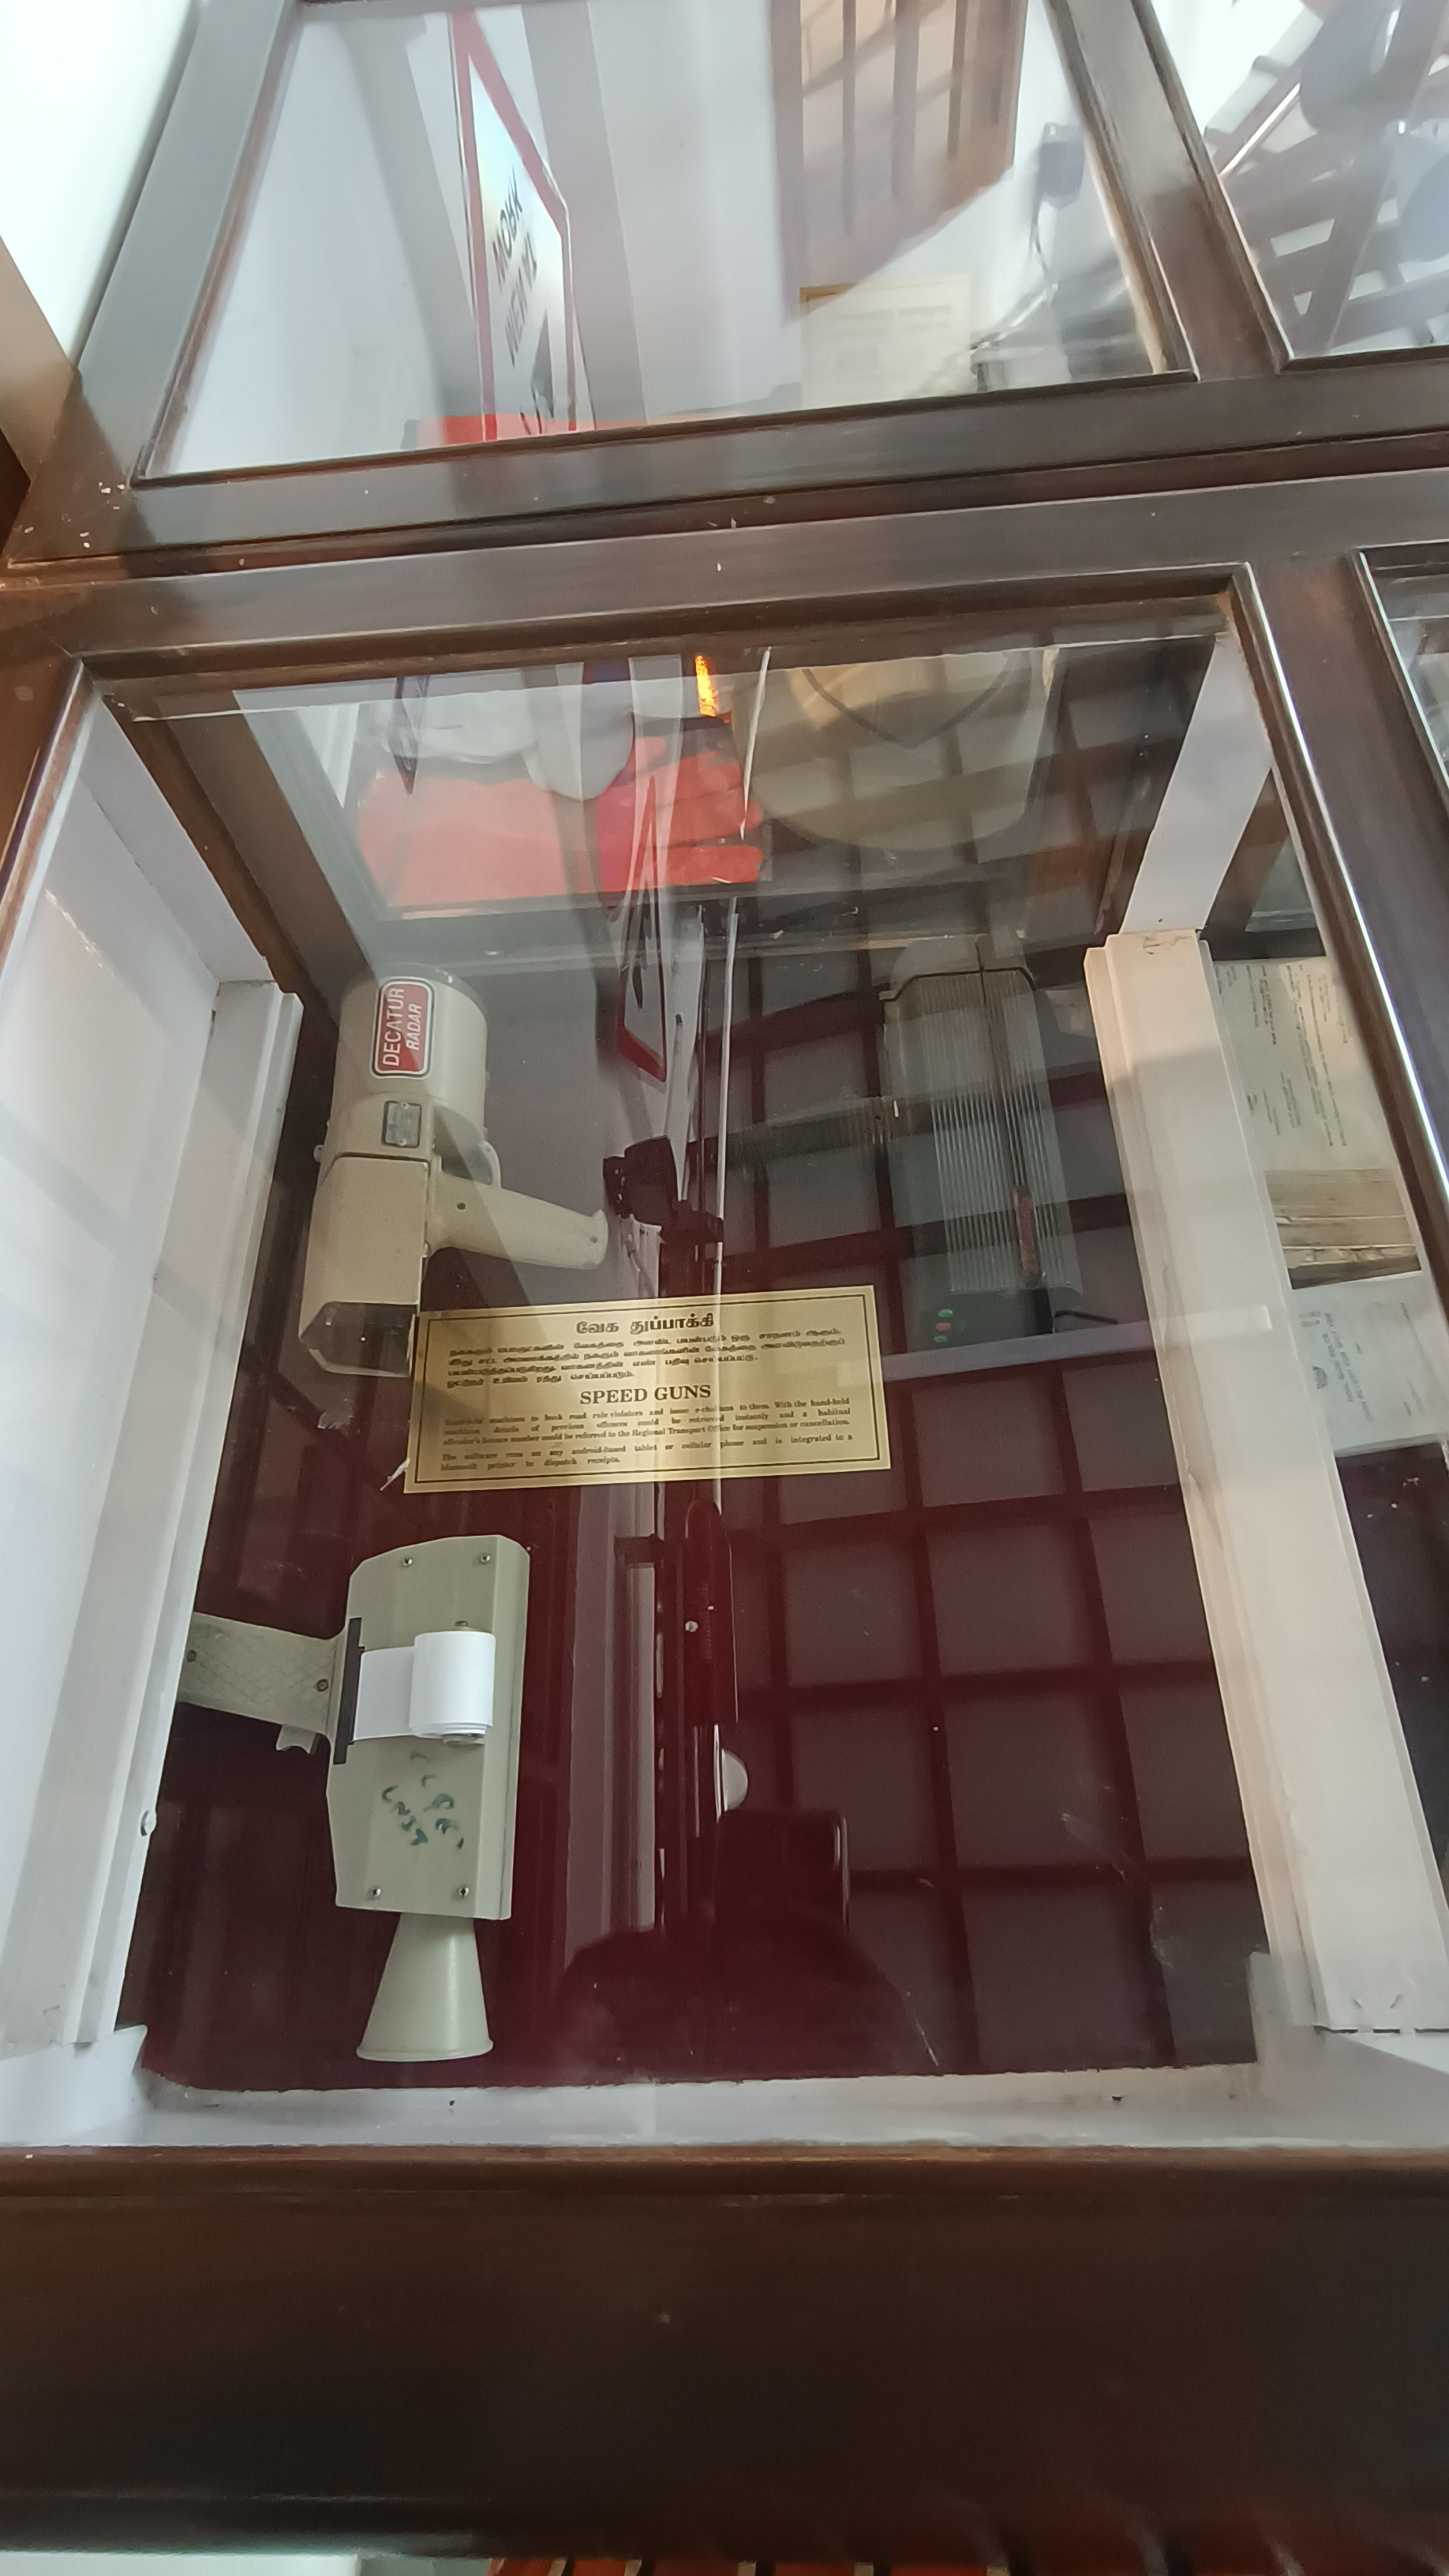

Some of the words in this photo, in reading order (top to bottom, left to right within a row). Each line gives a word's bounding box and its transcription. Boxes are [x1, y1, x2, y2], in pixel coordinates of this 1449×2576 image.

[378, 983, 410, 1070] DECATUR
[403, 1002, 429, 1057] RADAR
[574, 1316, 621, 1335] வேக
[626, 1308, 715, 1335] துப்பாக்கி
[575, 1384, 650, 1408] SPEED
[650, 1380, 713, 1403] GUNS